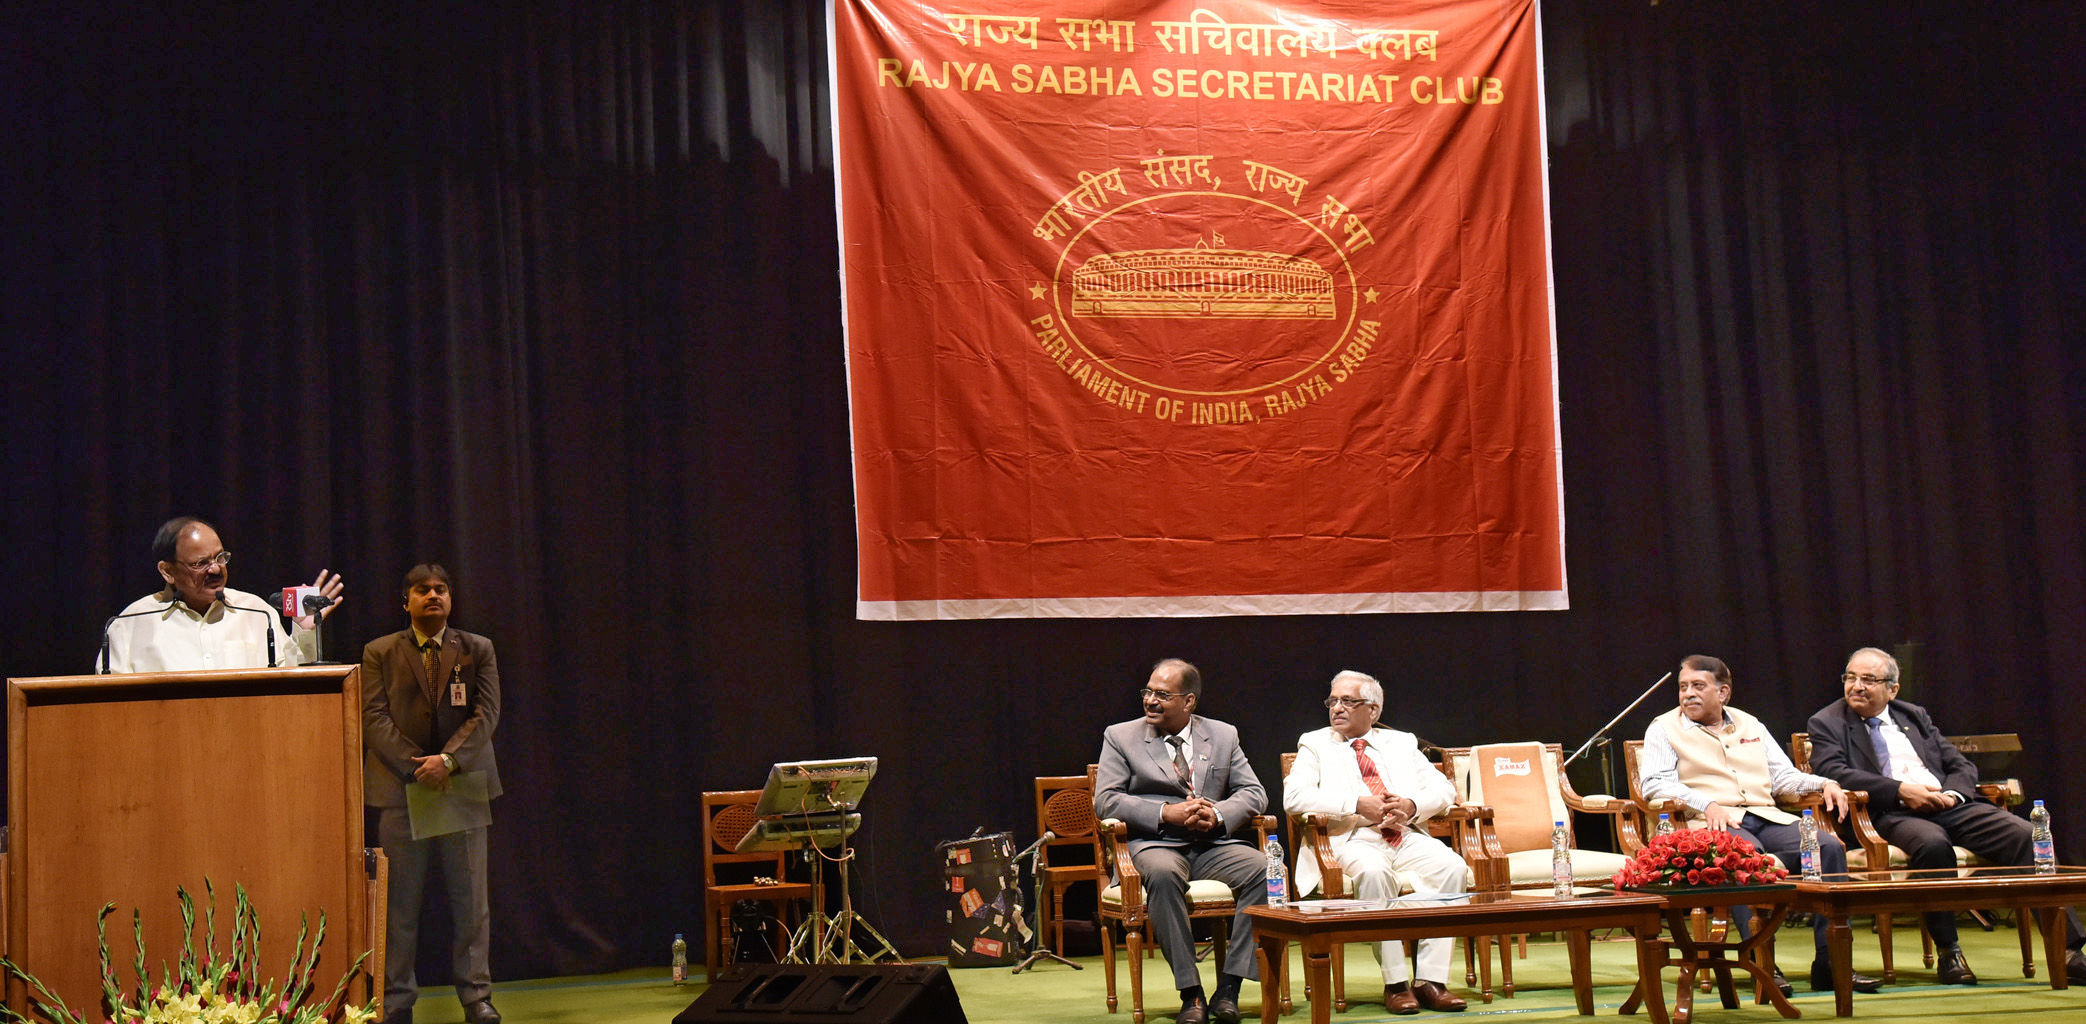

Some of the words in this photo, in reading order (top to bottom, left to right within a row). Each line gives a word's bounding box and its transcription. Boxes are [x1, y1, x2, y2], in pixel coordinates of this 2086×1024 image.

[937, 9, 1043, 51] राज्य
[1053, 11, 1137, 59] सभा
[1154, 1, 1342, 61] सचिवालय
[1349, 23, 1442, 67] क्लब
[877, 52, 1007, 95] RAJYA
[1005, 58, 1149, 103] SABHA
[1146, 61, 1399, 106] SECRETARIAT
[1408, 69, 1507, 110] CLUB
[1137, 147, 1218, 193] संसद
[1239, 152, 1312, 213] राज्य
[1021, 164, 1132, 249] भारतीय
[1311, 191, 1377, 261] सभा
[1025, 307, 1153, 419] PARLIAMENT
[1323, 311, 1384, 389] SABHA
[1150, 392, 1186, 426] OF
[1186, 397, 1255, 430] INDIA
[1259, 368, 1337, 423] RAJYA